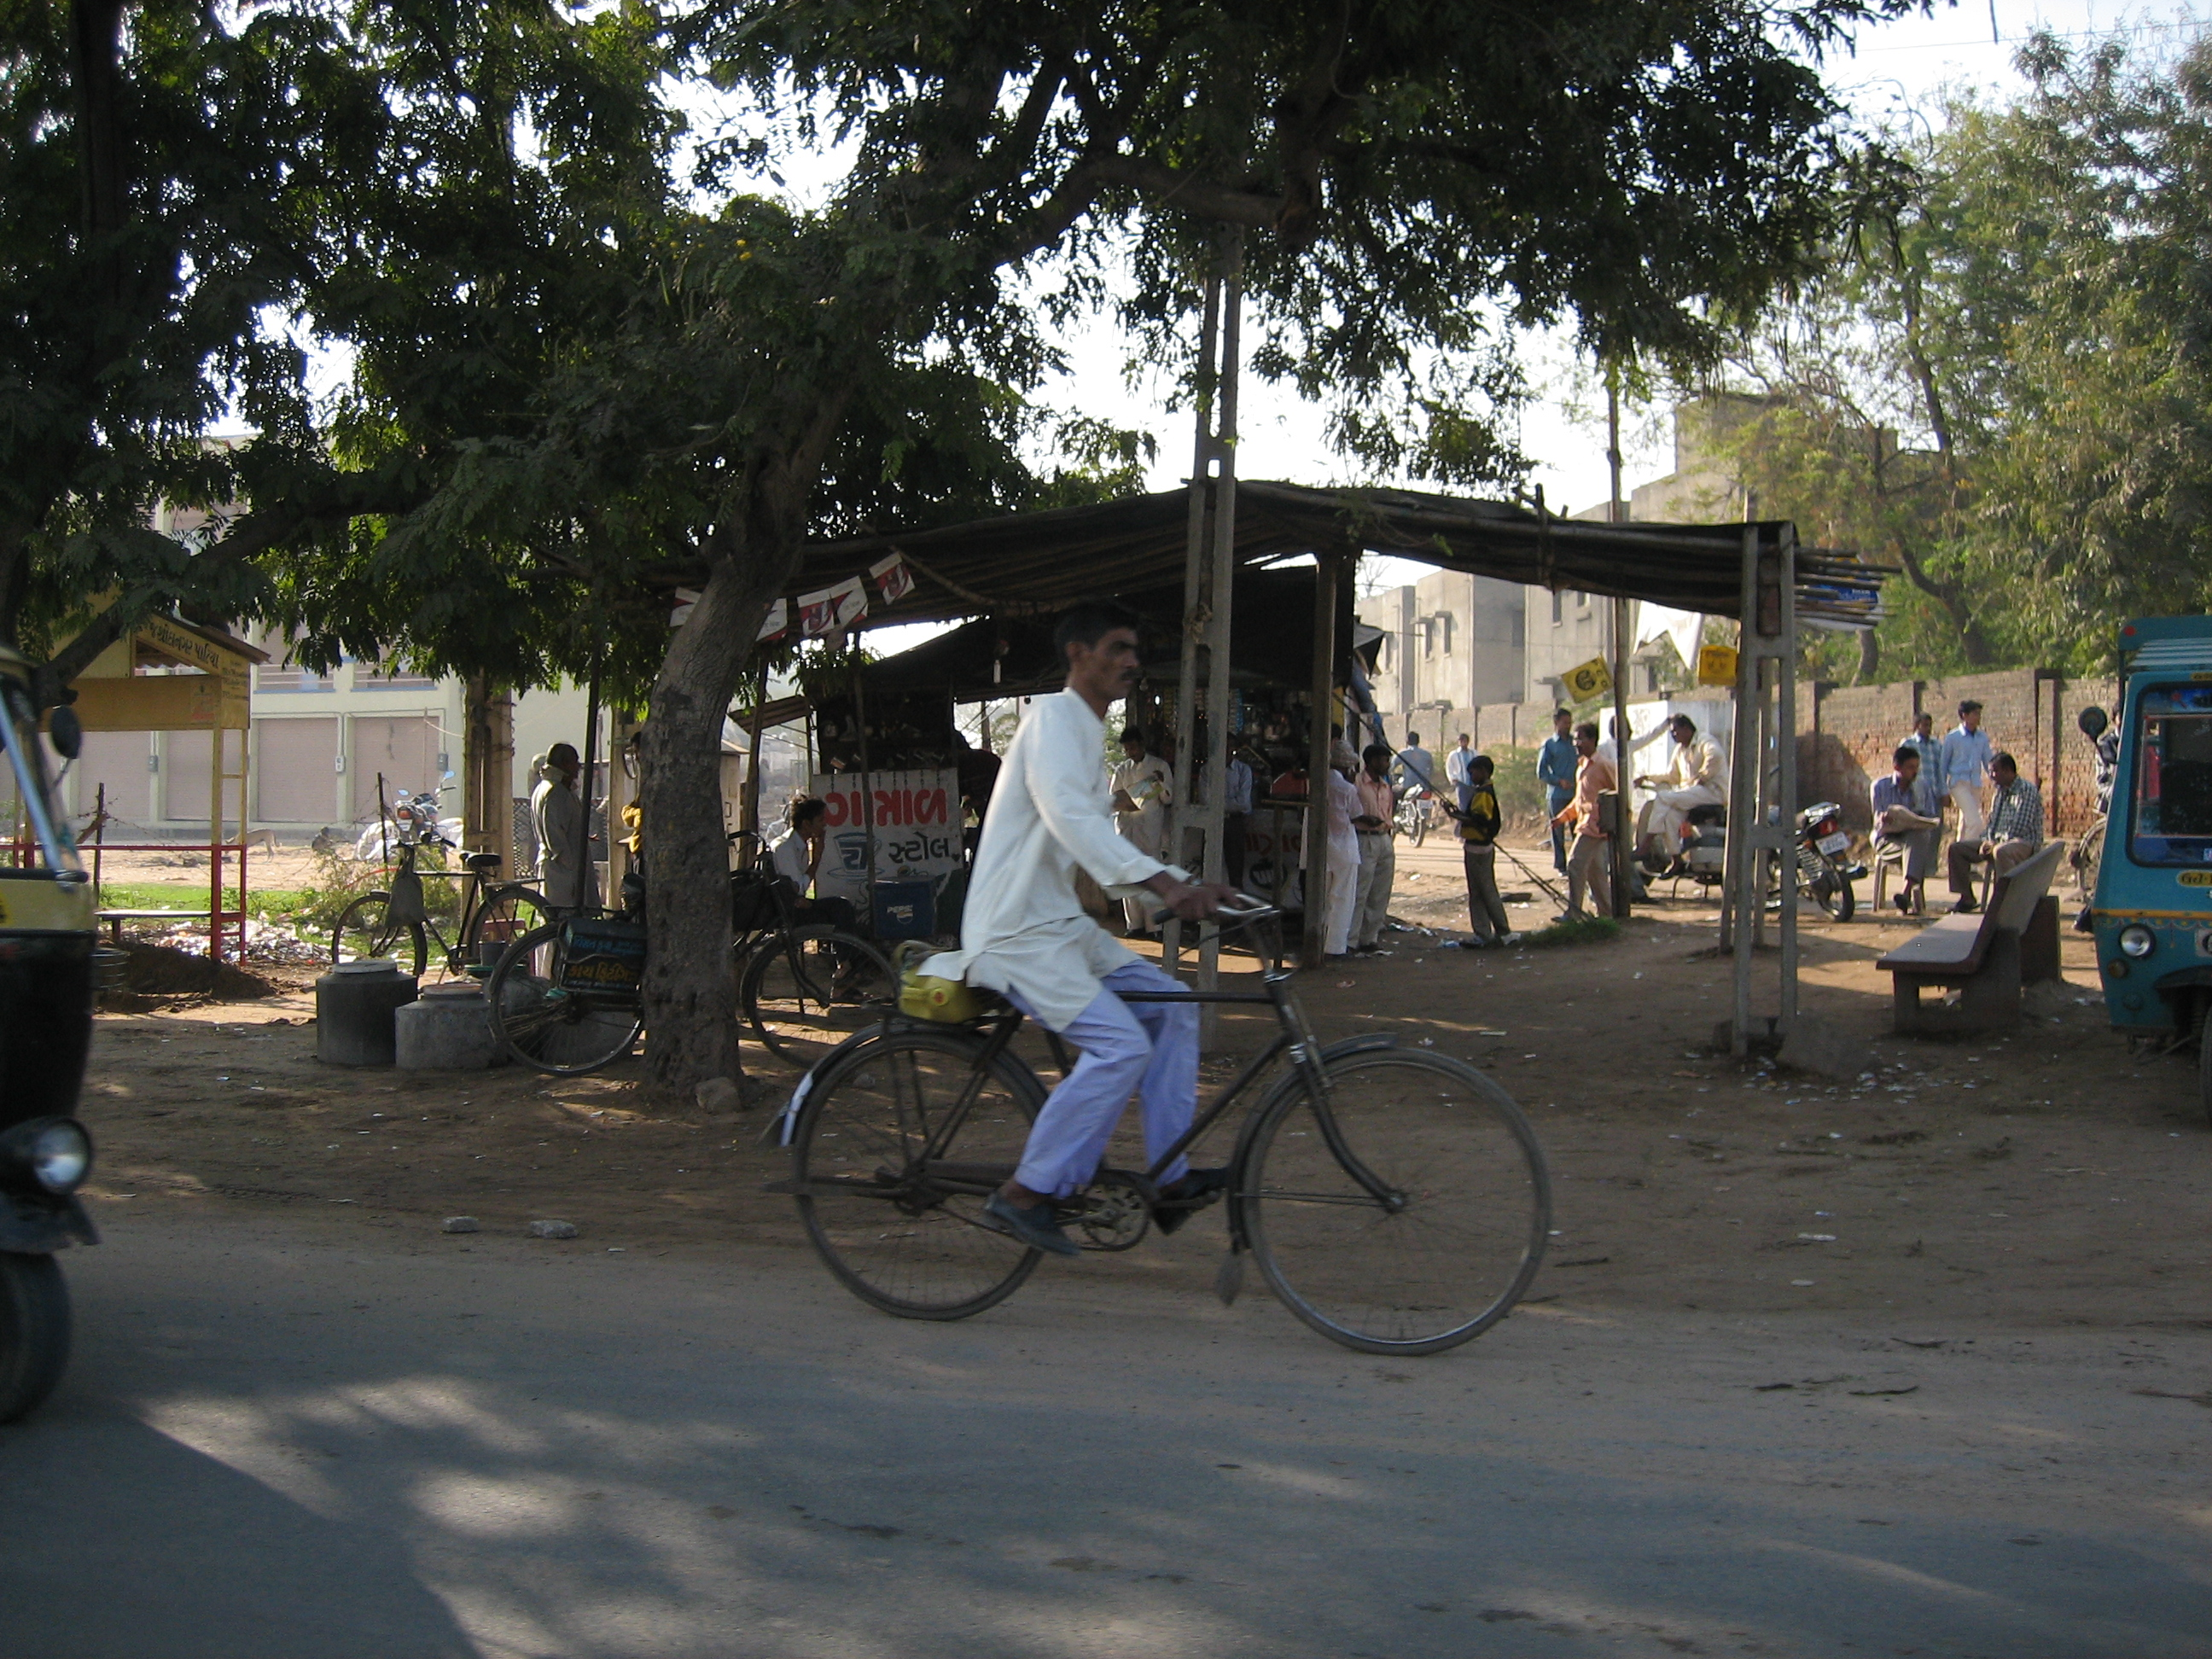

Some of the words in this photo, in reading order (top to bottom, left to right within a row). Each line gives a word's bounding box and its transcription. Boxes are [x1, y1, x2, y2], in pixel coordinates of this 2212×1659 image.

[805, 784, 874, 827] ગ
[865, 777, 947, 827] ત્રાળ
[841, 841, 867, 868] ટ
[883, 832, 965, 865] સ્ટોલ